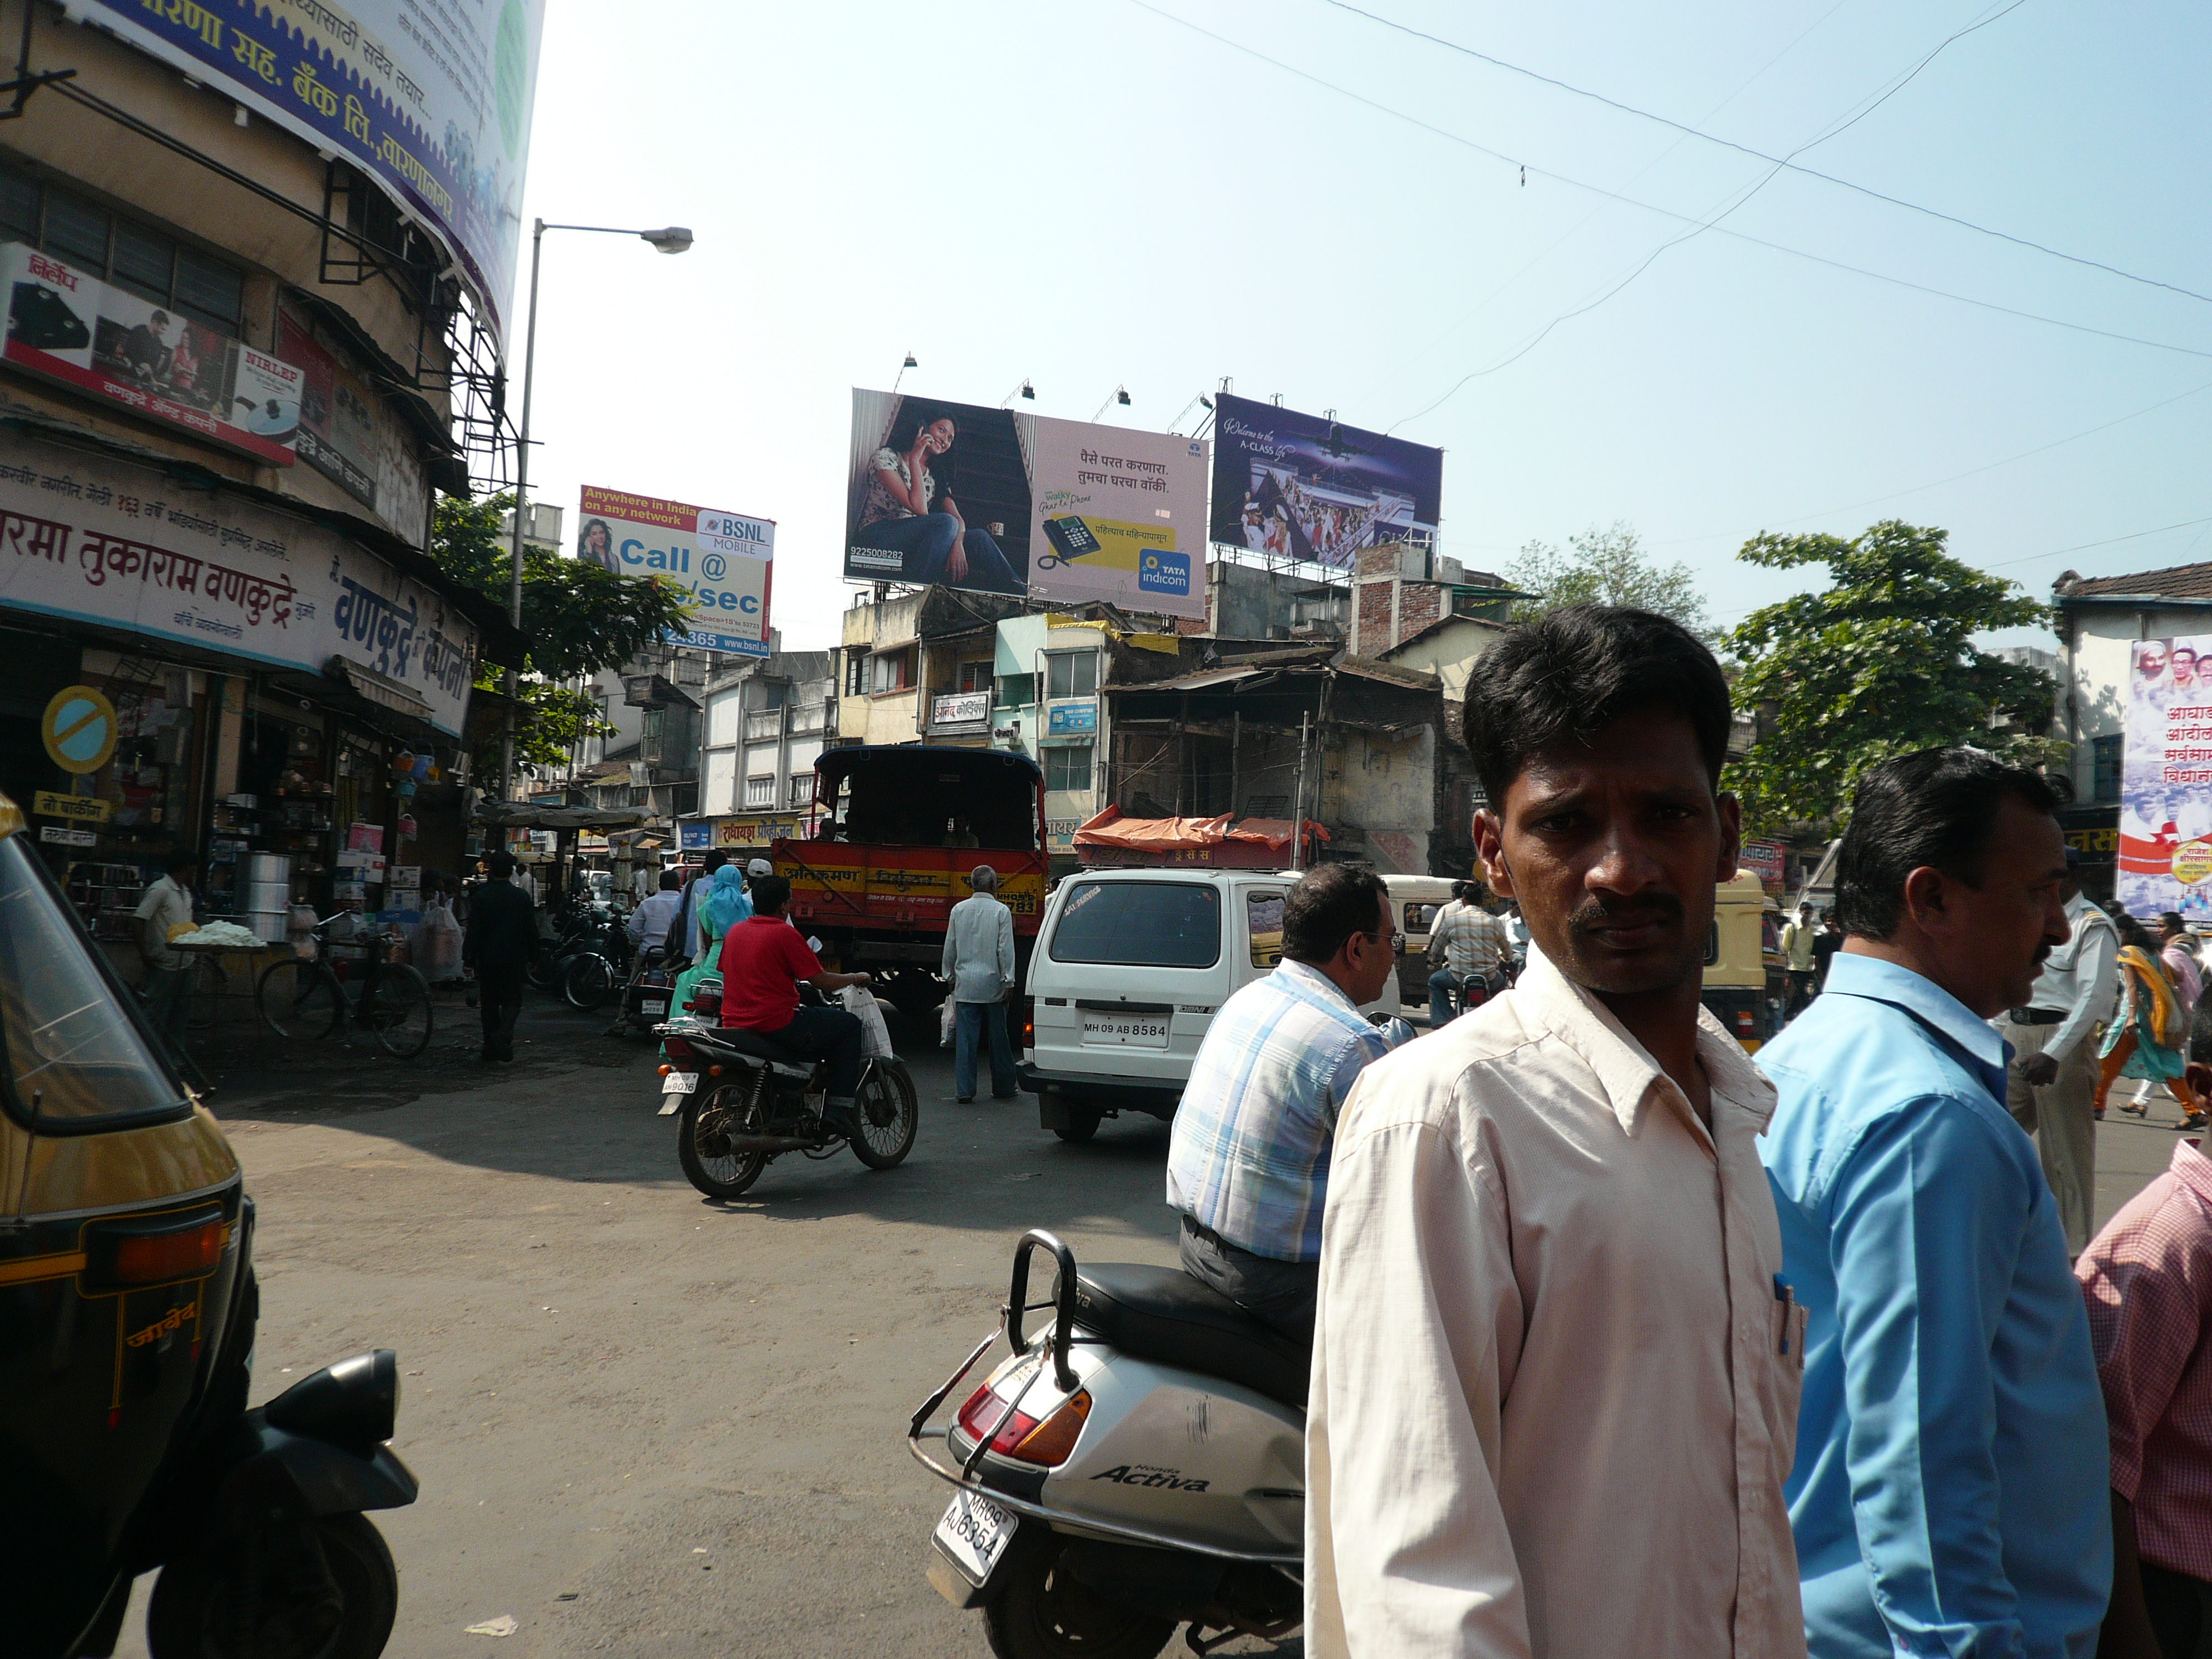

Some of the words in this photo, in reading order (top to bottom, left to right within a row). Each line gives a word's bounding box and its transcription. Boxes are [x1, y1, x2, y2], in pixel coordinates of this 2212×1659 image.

[226, 23, 286, 91] सह.
[357, 39, 399, 84] सदैव
[290, 59, 346, 126] बँक
[390, 65, 425, 112] तयार
[336, 85, 380, 153] लि.
[377, 131, 459, 226] वारणानगर
[20, 247, 87, 293] निर्लेप
[242, 349, 303, 385] NIRLEP
[101, 378, 153, 410] वणकुद्रे
[148, 393, 186, 421] ॲण्ड
[0, 459, 40, 491] करवीर
[37, 471, 85, 502] नगरीत.
[113, 491, 148, 520] १६३
[71, 525, 208, 597] तुकाराम
[139, 497, 171, 524] वर्षे
[165, 507, 227, 540] भांड्यांसाठी
[180, 408, 224, 436] कंपनी
[295, 427, 321, 460] कुद्रे
[312, 445, 347, 480] आणि
[321, 547, 344, 587] मे.
[338, 460, 378, 500] कंपनी
[584, 499, 603, 513] on
[602, 501, 630, 519] any
[580, 487, 653, 510] Anywhere
[615, 536, 693, 577] Call
[647, 496, 665, 512] in
[628, 508, 684, 529] network
[663, 501, 699, 520] India
[711, 535, 759, 557] MOBILE
[722, 517, 767, 545] BSNL
[1036, 498, 1060, 519] Ghar
[1045, 486, 1073, 503] walky
[1067, 491, 1095, 512] Phone
[1078, 446, 1101, 467] पैसे
[1076, 467, 1109, 487] तुमचा
[1094, 521, 1127, 539] पहिल्याच
[1099, 452, 1126, 469] परत
[1109, 473, 1139, 490] घरचा
[1123, 525, 1170, 546] महिन्यापासून
[1126, 457, 1171, 478] करणारा.
[1138, 474, 1170, 493] वॉकी
[1141, 571, 1190, 589] indicom
[1161, 560, 1190, 578] TATA
[1222, 415, 1259, 441] Welcome
[1238, 438, 1277, 458] A-CLASS
[1253, 429, 1268, 442] to
[1254, 430, 1279, 446] to the
[1274, 440, 1300, 463] life
[204, 557, 305, 634] वणकुद्रे
[695, 586, 762, 615] sec
[167, 607, 199, 635] यांचे
[330, 572, 421, 679] वणकुद्रे
[422, 607, 474, 703] कंपनी
[724, 637, 771, 654] www.bsnl.in
[933, 698, 958, 720] आनंद
[954, 696, 987, 717] को​ल्ड्रिंक्स
[721, 817, 759, 847] राधायश
[753, 813, 796, 847] प्रोव्हीजन
[782, 860, 859, 885] अतिक्रमण